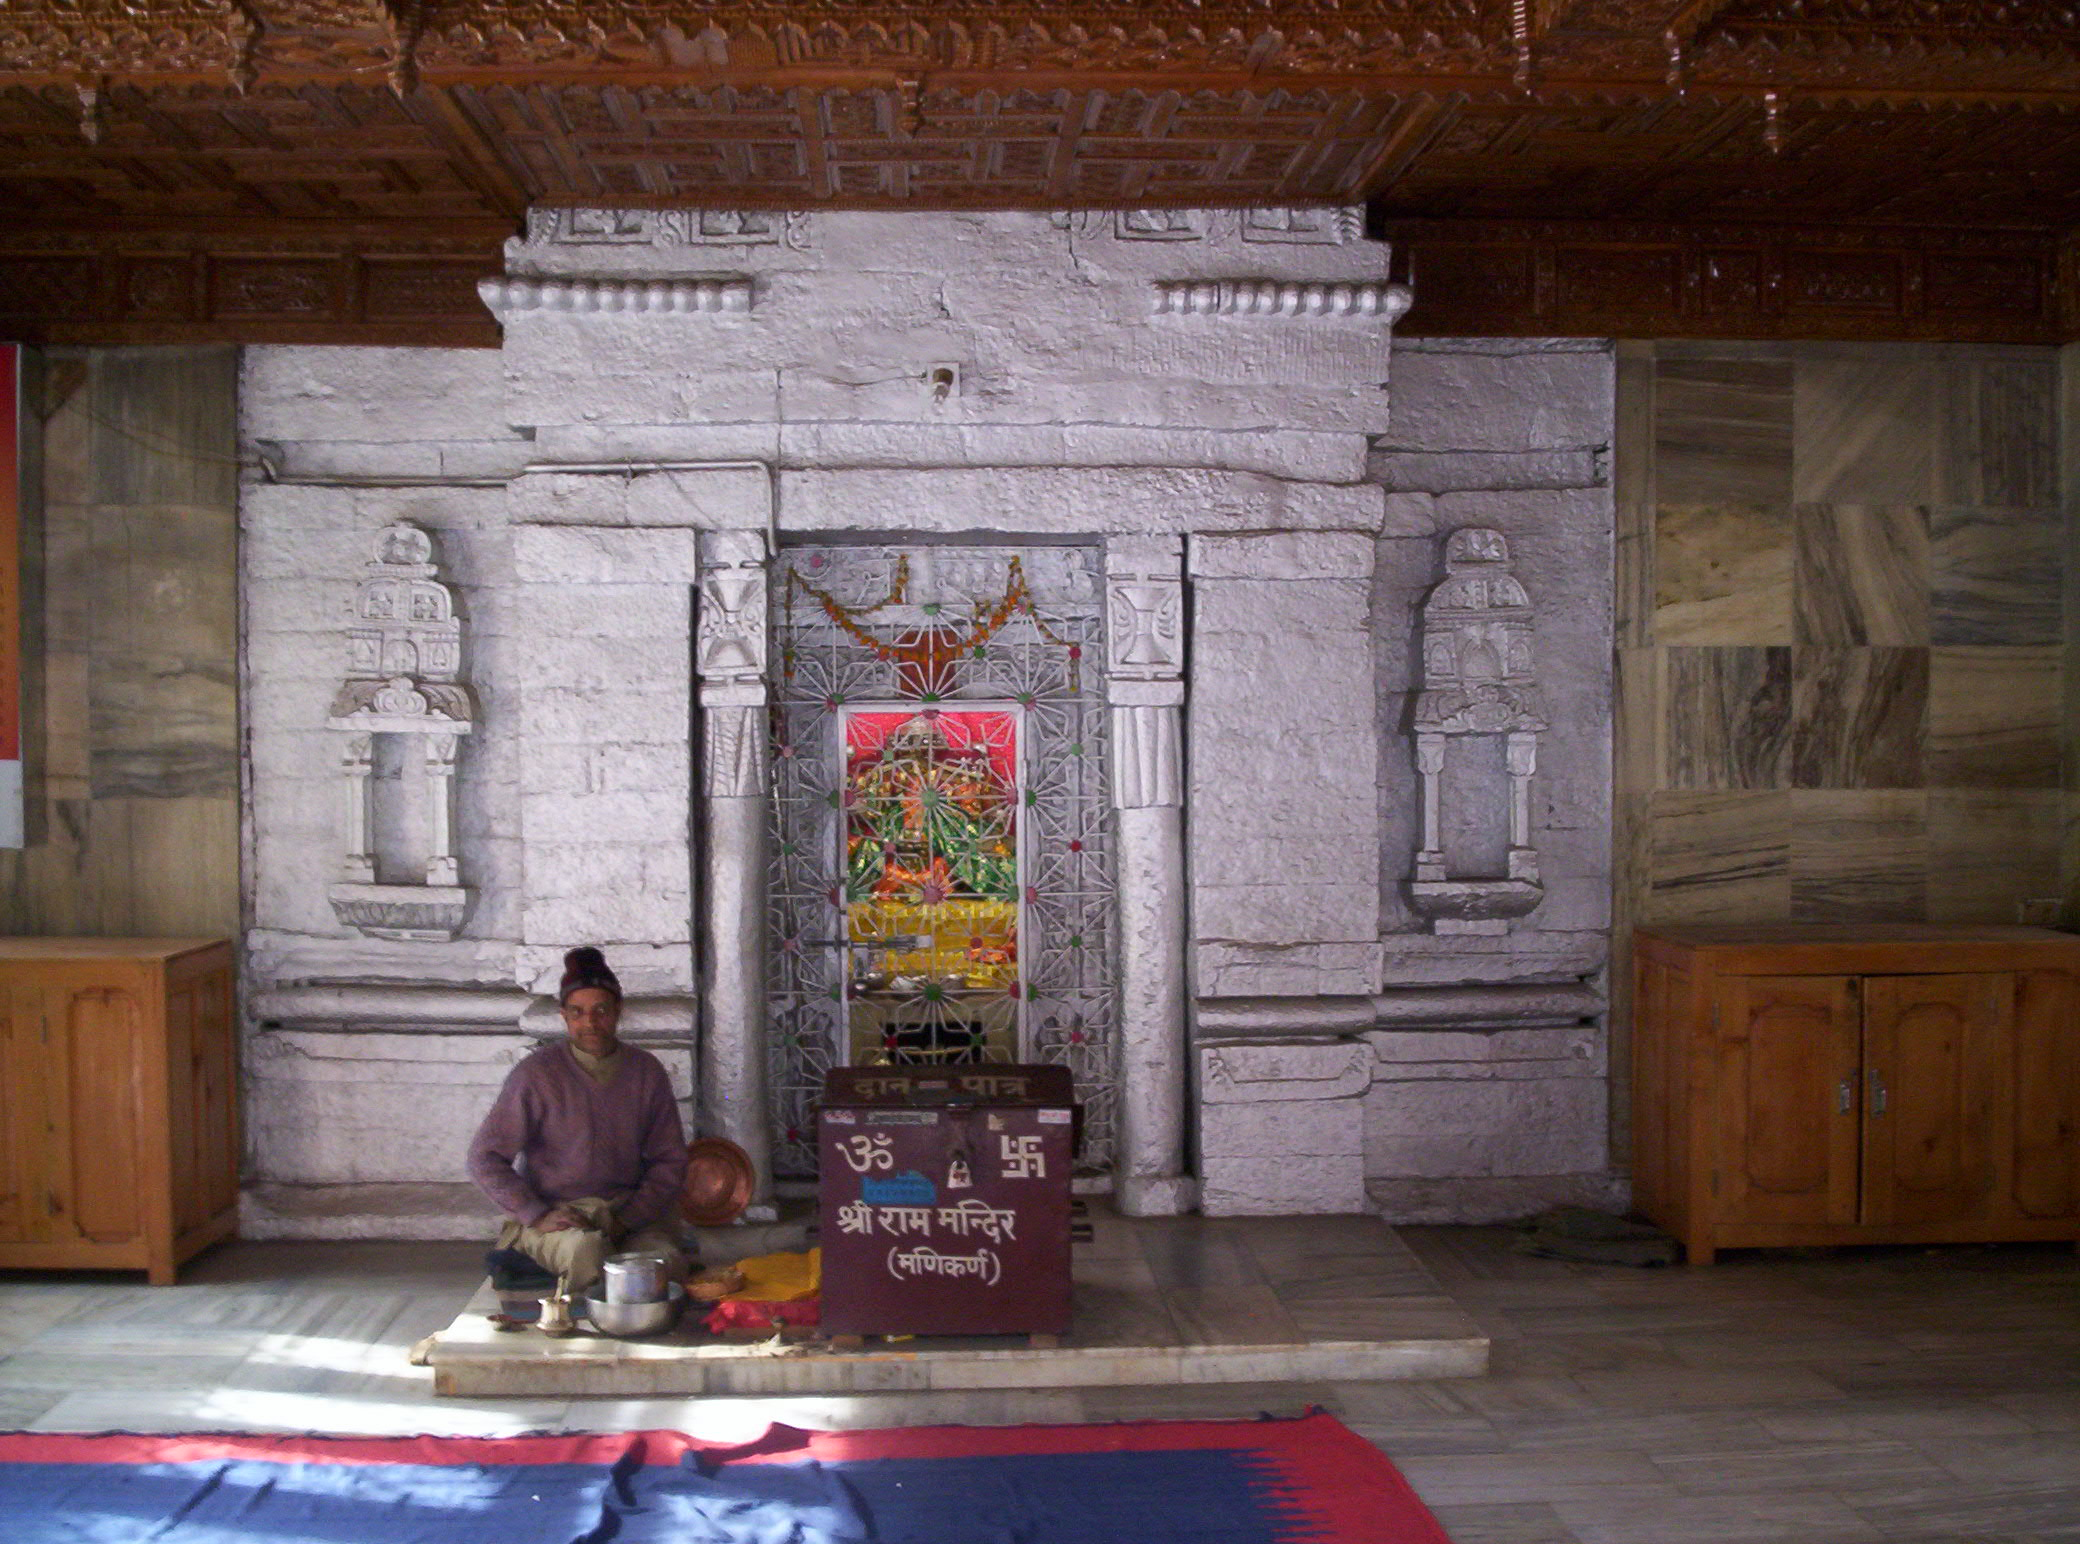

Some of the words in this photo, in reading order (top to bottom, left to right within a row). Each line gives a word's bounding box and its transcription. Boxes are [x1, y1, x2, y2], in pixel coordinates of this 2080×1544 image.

[852, 1075, 913, 1103] दान
[963, 1073, 1032, 1101] पात्र
[834, 1196, 875, 1236] श्री
[877, 1203, 935, 1240] राम
[935, 1193, 1019, 1246] मन्दिर
[891, 1243, 993, 1280] मणिकर्ण